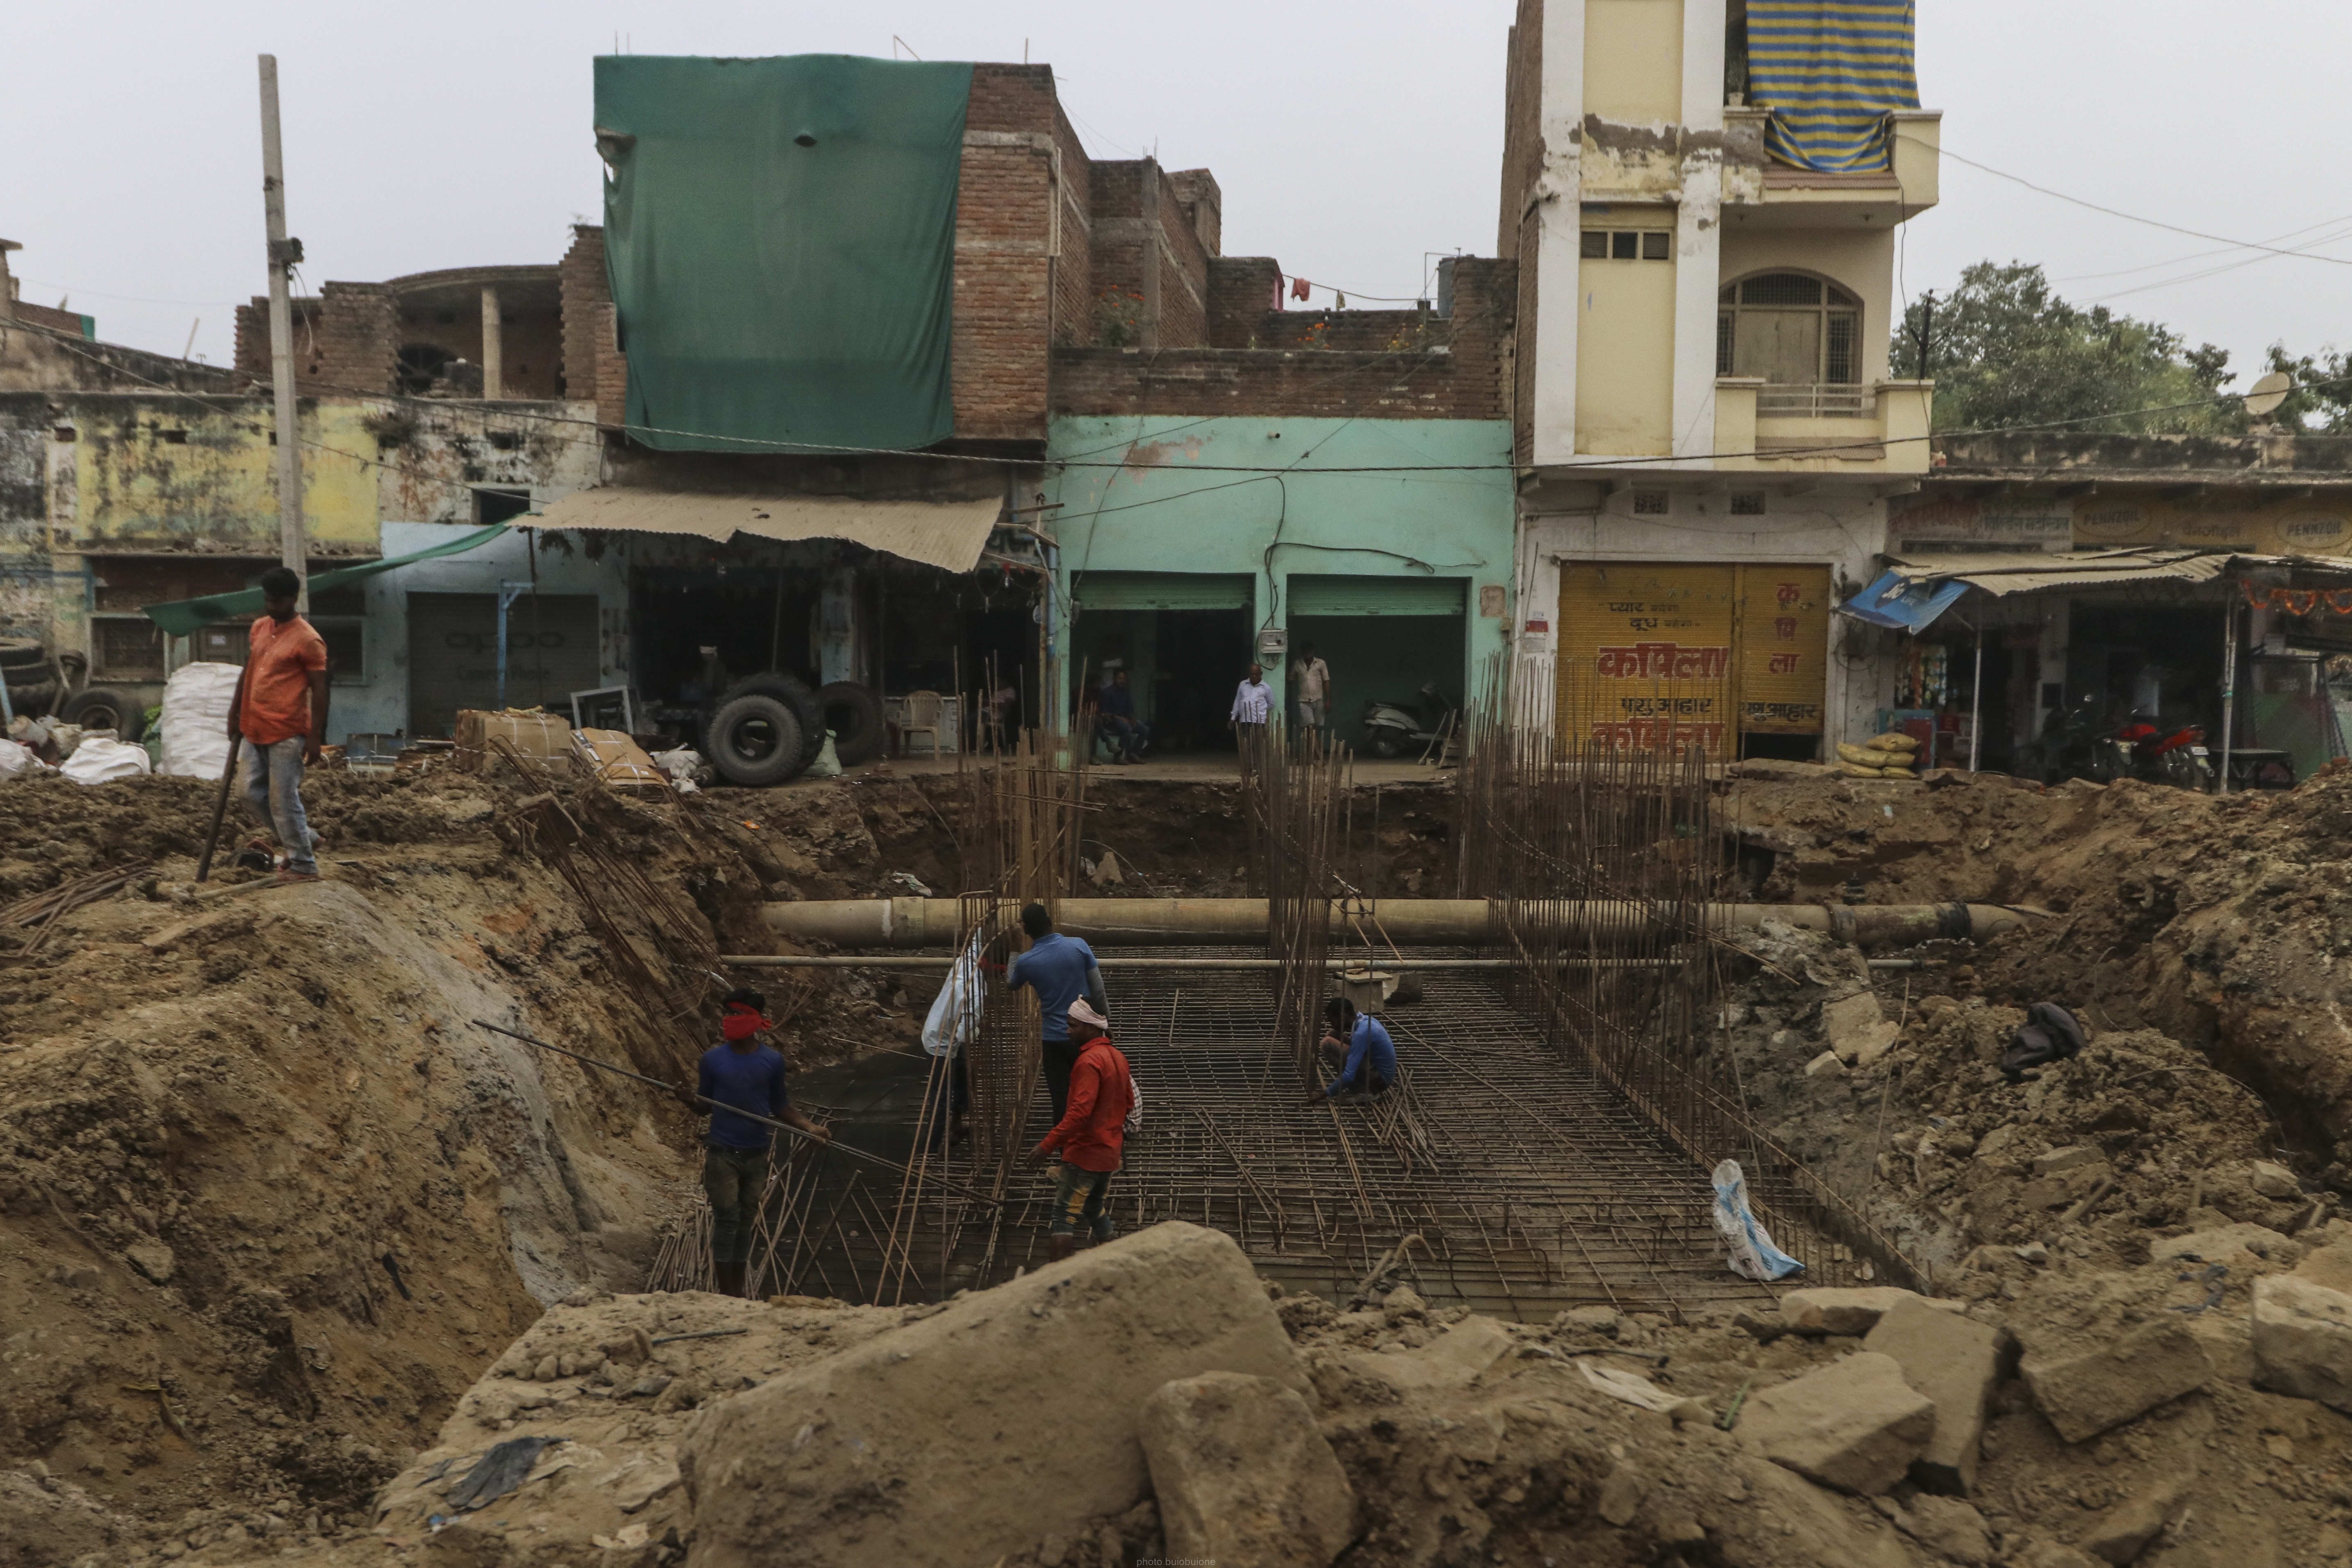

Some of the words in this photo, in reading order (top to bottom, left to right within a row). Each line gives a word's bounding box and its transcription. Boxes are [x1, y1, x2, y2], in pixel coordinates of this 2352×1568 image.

[1776, 582, 1803, 606] क
[1608, 601, 1646, 615] प्यार
[1649, 601, 1680, 613] बचेगा
[1629, 616, 1659, 632] दूध
[1595, 640, 1729, 680] कपिला
[1767, 653, 1800, 675] ला
[1617, 696, 1655, 717] पशु
[1657, 696, 1714, 716] आहार
[1766, 701, 1819, 724] आहार
[1590, 715, 1728, 755] कबिला